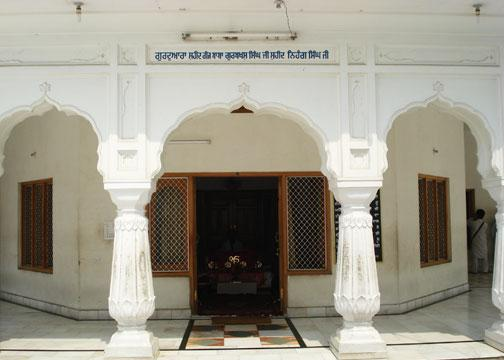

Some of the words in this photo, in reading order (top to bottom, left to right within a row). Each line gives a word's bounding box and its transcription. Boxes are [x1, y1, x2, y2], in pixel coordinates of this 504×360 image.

[152, 49, 187, 65] ਗੁਰਦੁਆਰਾ
[223, 45, 262, 63] ਗੁਰਬਖਸ਼ ਸਿੰਘ
[261, 47, 287, 63] ਜੀ ਸ਼ਹੀਦ
[287, 47, 333, 64] ਨਿਹੰਗ ਸਿੰਘ ਜੀ